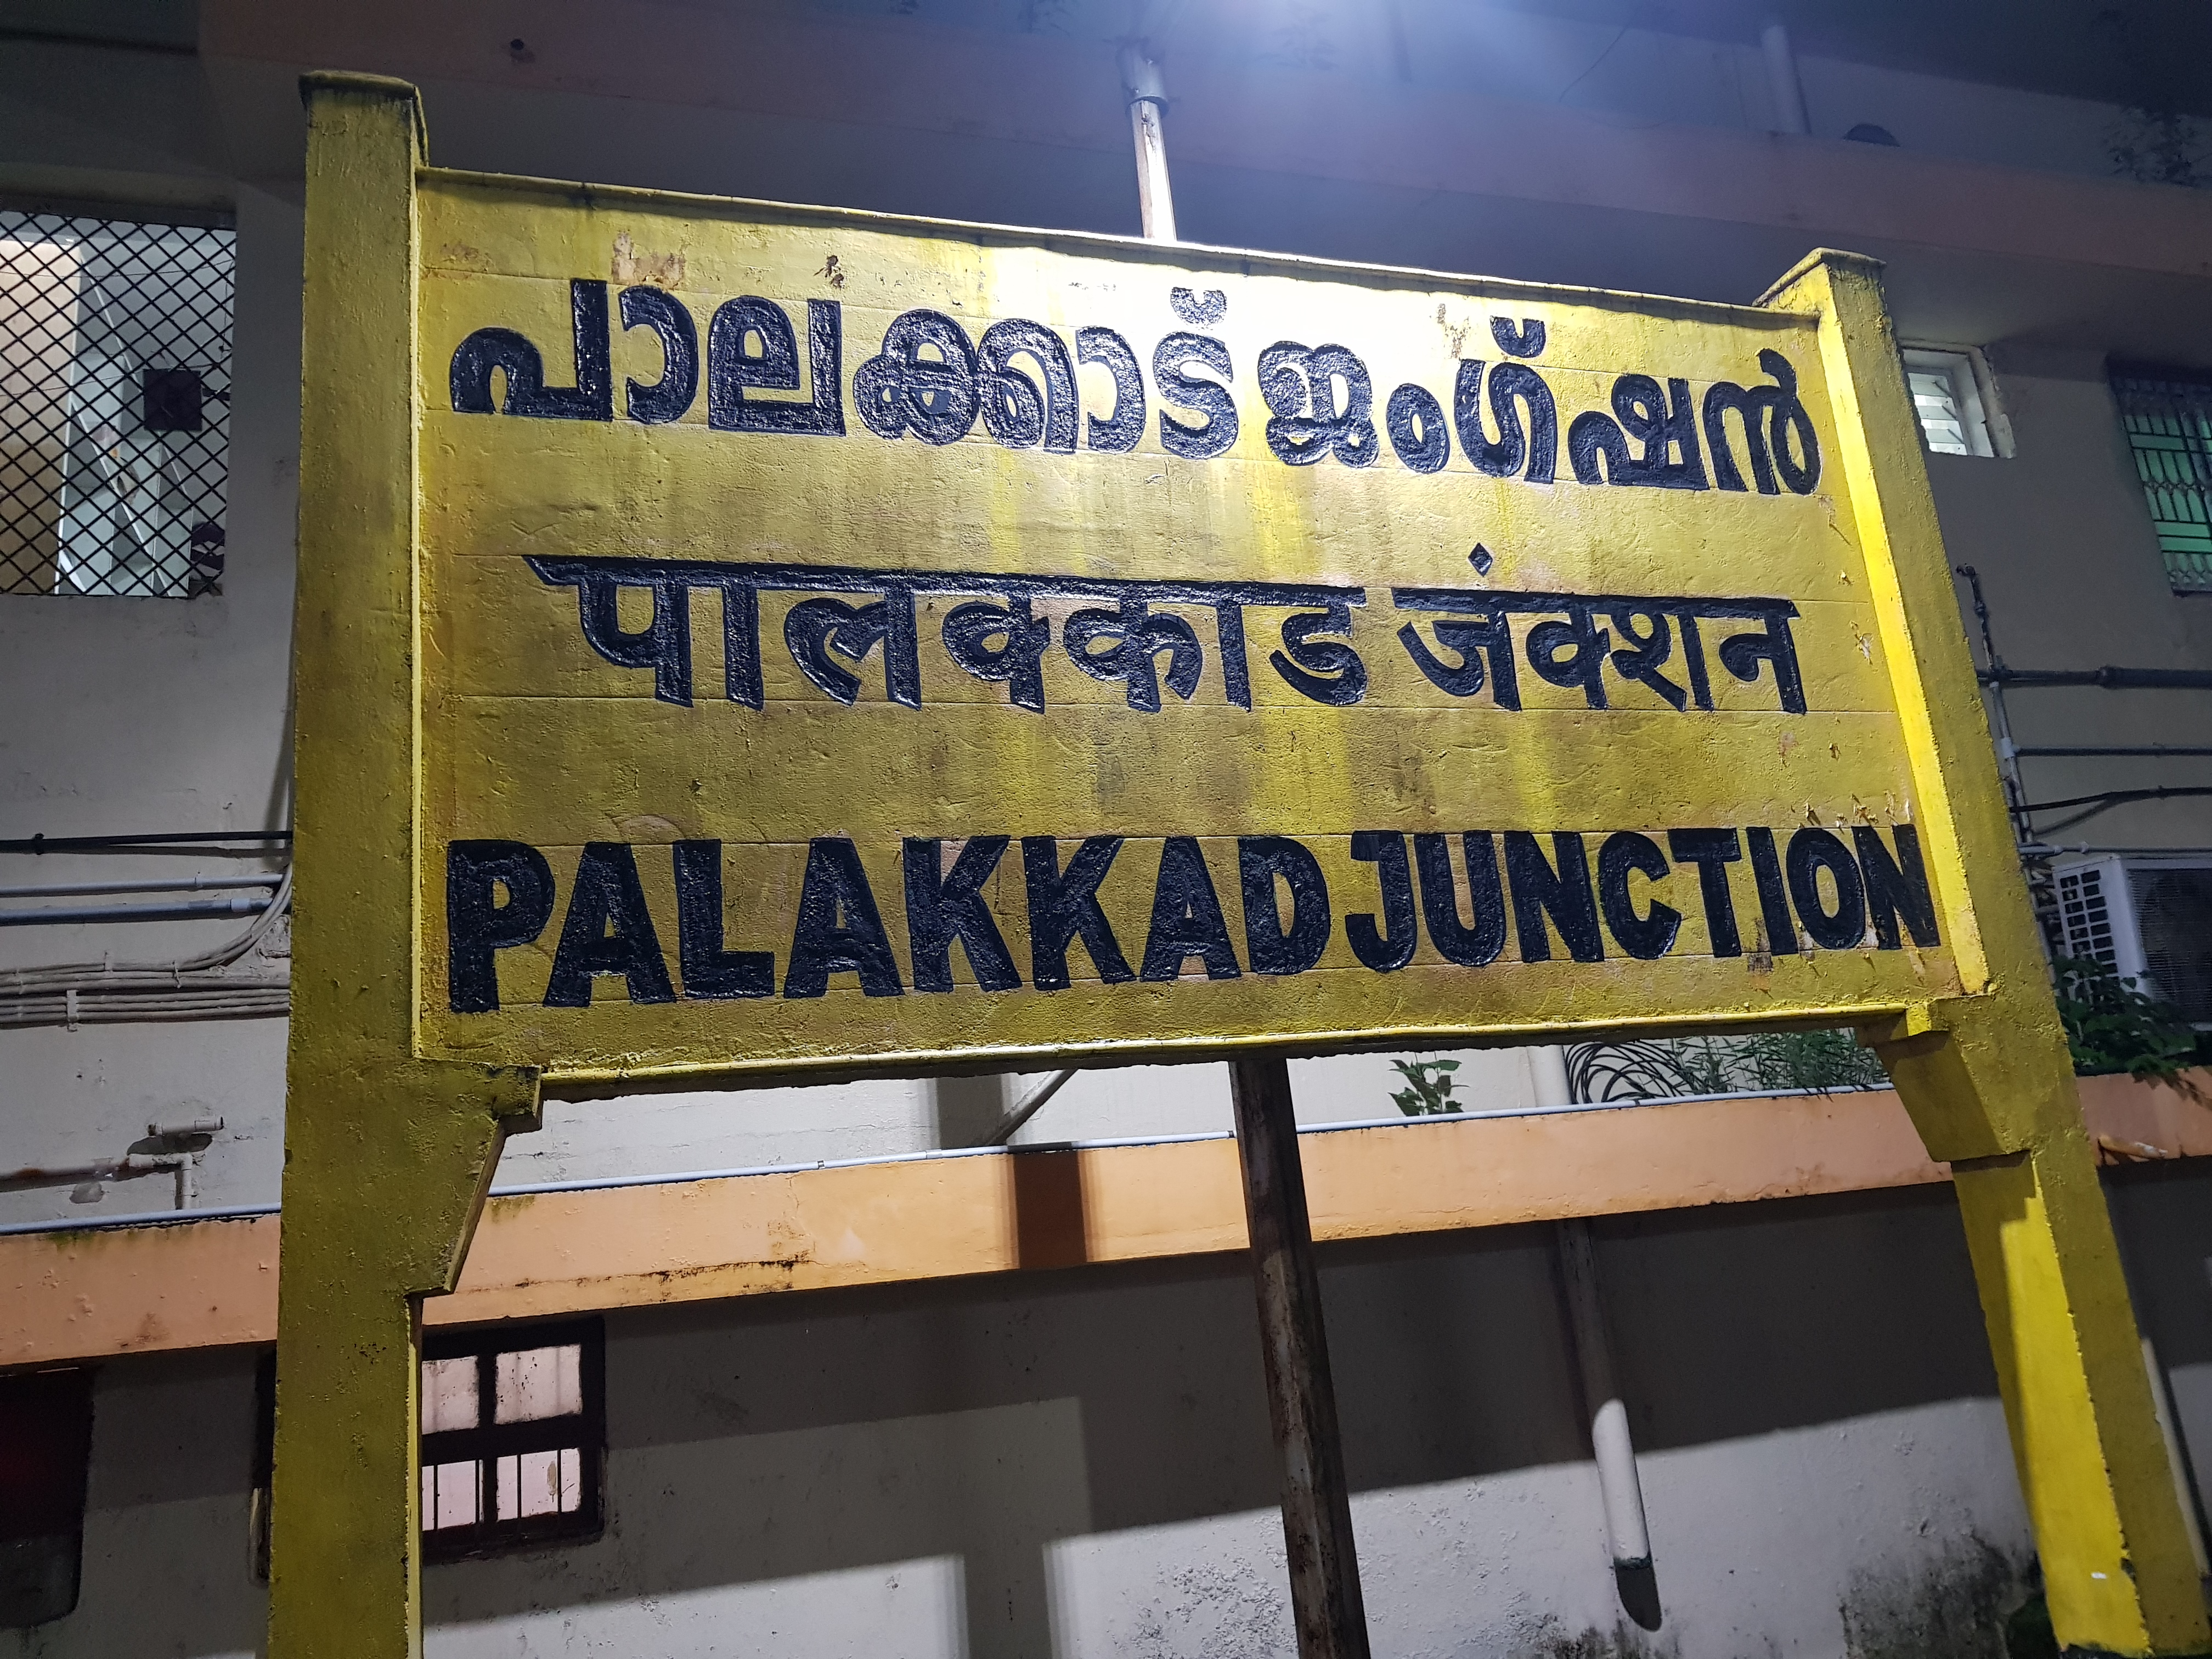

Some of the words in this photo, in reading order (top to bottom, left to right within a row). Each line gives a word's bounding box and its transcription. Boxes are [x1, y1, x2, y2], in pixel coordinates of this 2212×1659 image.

[445, 270, 1243, 466] പാലക്കാട്
[1256, 306, 1826, 502] ജംഗ്ഷൻ
[519, 545, 1373, 718] पालक्काड
[1390, 537, 1814, 718] जंक्शन
[441, 826, 1340, 1019] PALAKKAD
[1334, 815, 1949, 984] JUNCTION